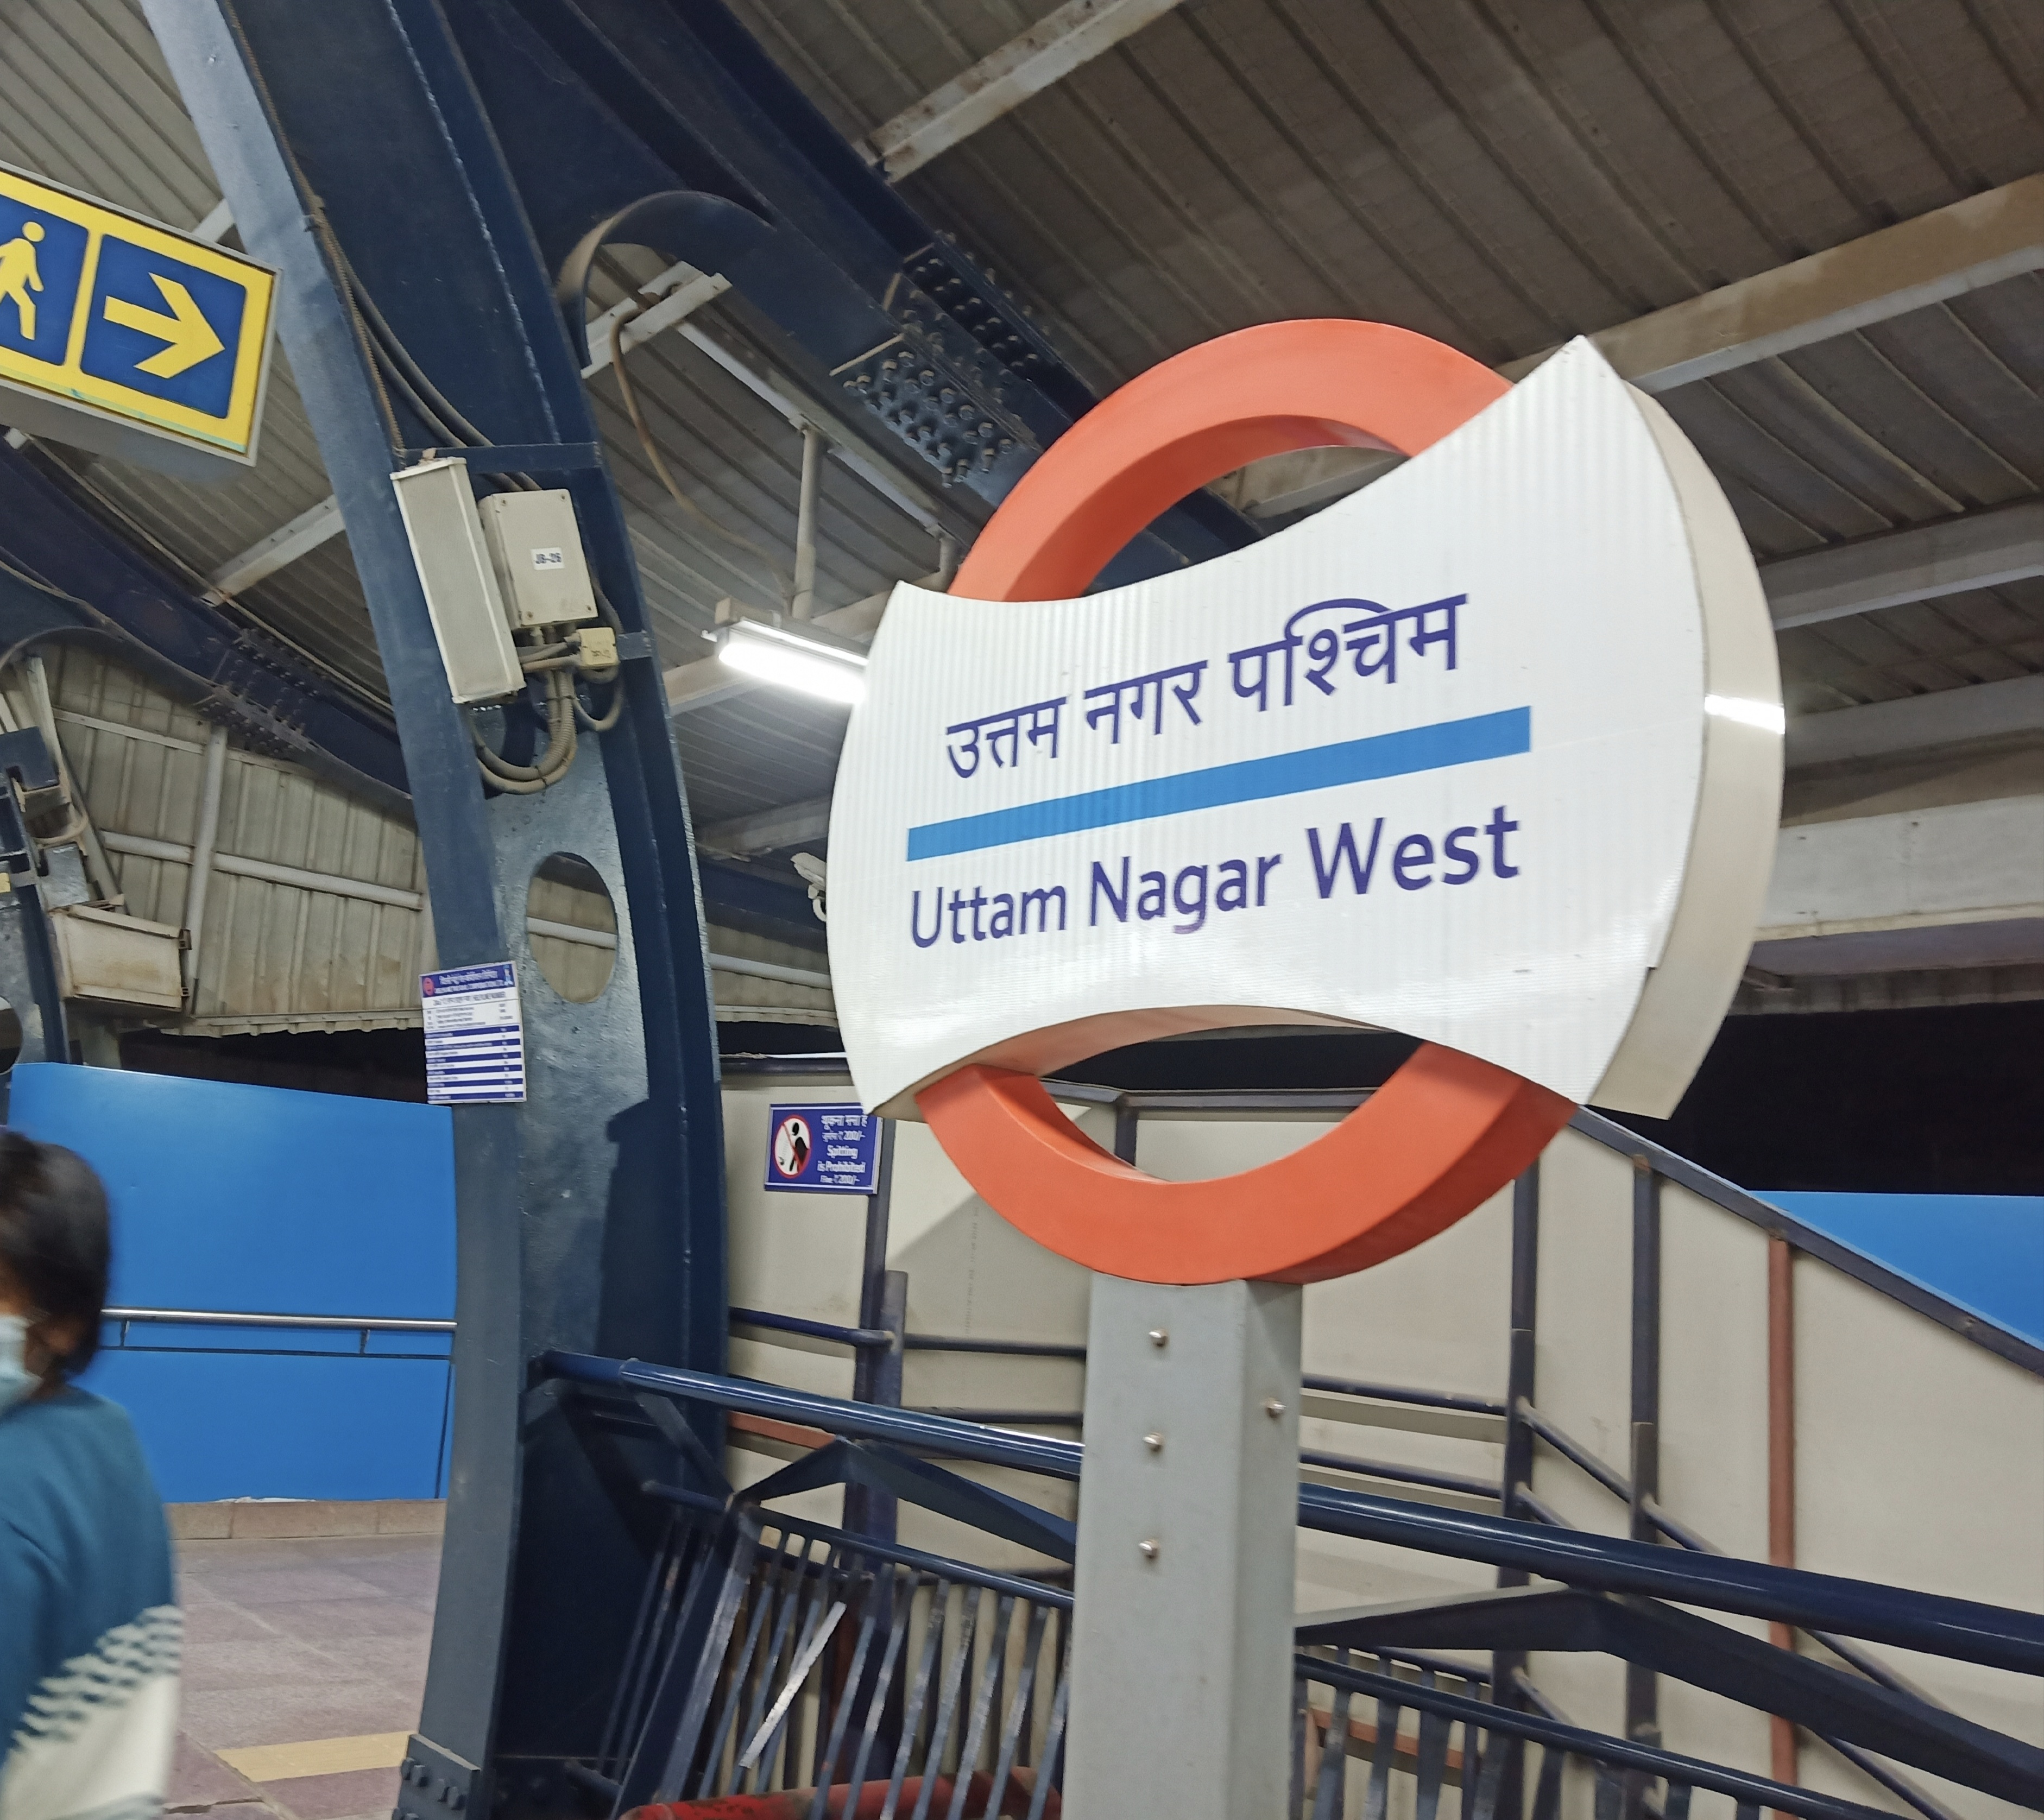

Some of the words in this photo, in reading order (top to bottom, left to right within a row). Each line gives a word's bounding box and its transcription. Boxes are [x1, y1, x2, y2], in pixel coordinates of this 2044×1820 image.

[1223, 589, 1470, 717] पश्चिम
[944, 692, 1069, 783] उत्तम
[1081, 658, 1210, 749] नगर
[908, 880, 1070, 953] Uttam
[1088, 850, 1287, 940] Nagar
[1304, 803, 1524, 908] West
[820, 1114, 845, 1134] थूकता
[823, 1142, 859, 1163] Spitting
[825, 1159, 868, 1173] Prohibited
[857, 1112, 871, 1130] है